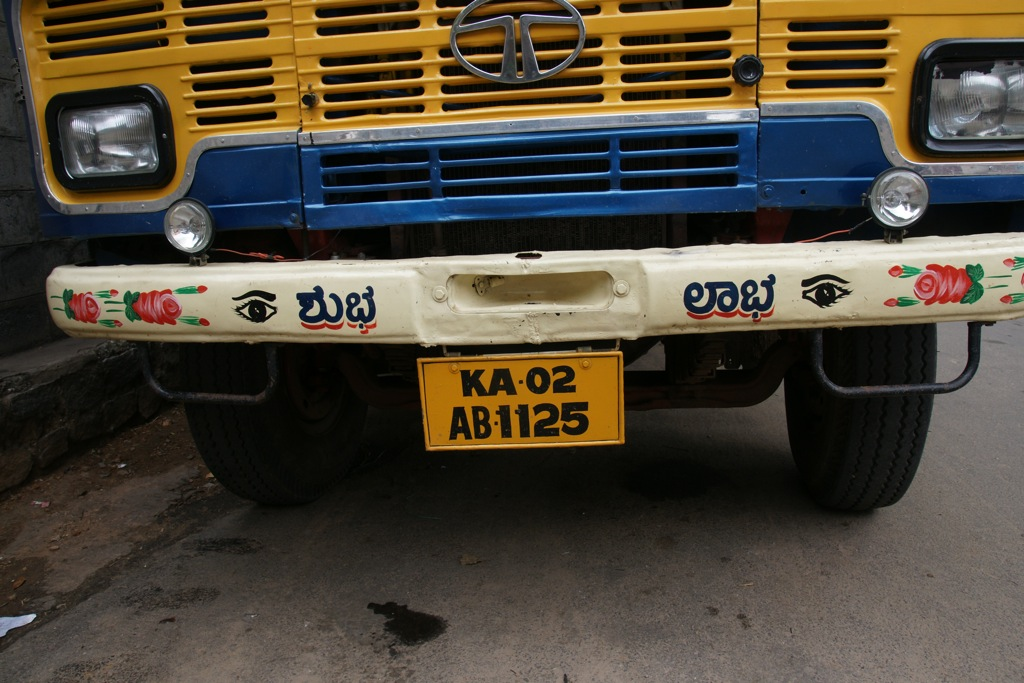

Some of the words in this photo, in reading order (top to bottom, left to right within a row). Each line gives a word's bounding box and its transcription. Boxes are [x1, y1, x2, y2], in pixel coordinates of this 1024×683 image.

[293, 278, 380, 328] ಶುಭ
[677, 266, 776, 325] ಲಾಭ
[454, 358, 580, 399] KA-02
[447, 395, 595, 448] AB1125